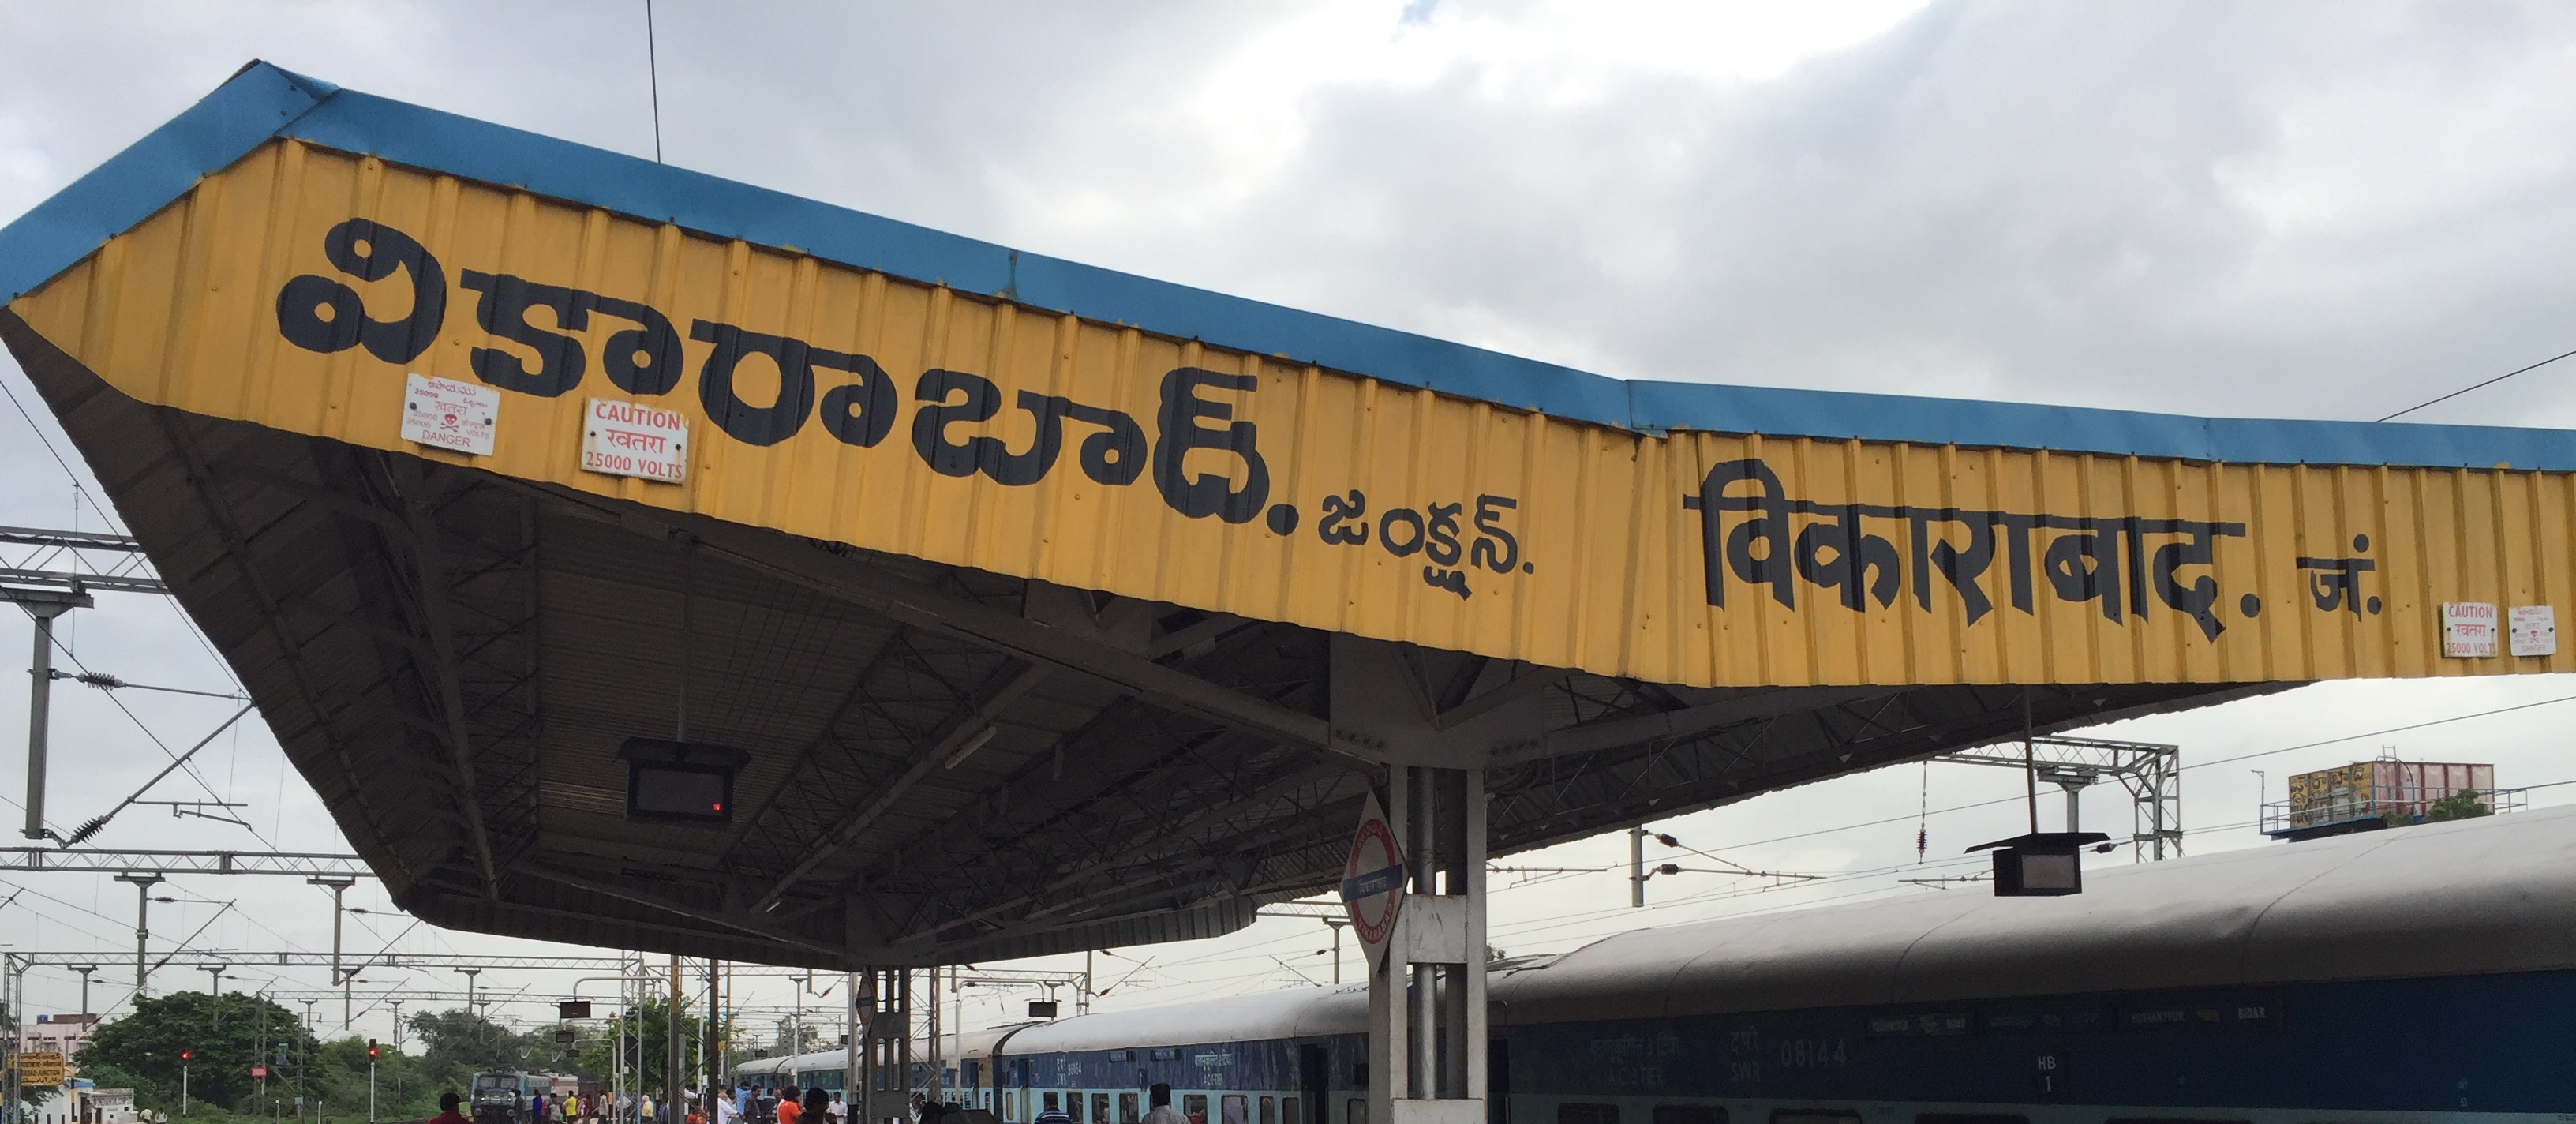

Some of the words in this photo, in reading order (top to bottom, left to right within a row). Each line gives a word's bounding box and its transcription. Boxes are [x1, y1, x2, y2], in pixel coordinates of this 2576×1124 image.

[268, 203, 1306, 551] వికారాబాద్.
[590, 399, 685, 438] CAUTION
[604, 420, 674, 459] रवतरा
[581, 446, 637, 478] 25000
[637, 452, 686, 483] VOLTS
[1312, 481, 1541, 610] జింక్షన్.
[1668, 451, 2274, 645] विकाराबाद.
[2296, 523, 2389, 627] जं.
[2437, 595, 2499, 626] CAUTION
[2450, 616, 2492, 639] खतरा
[2437, 633, 2499, 661] 25000VOLTS
[1190, 1046, 1237, 1073] वातानुकूलित 2 टियर
[1589, 1026, 1649, 1066] वातानुकूलित
[1650, 1025, 1687, 1059] टियर
[1729, 1019, 1765, 1057] दपरे